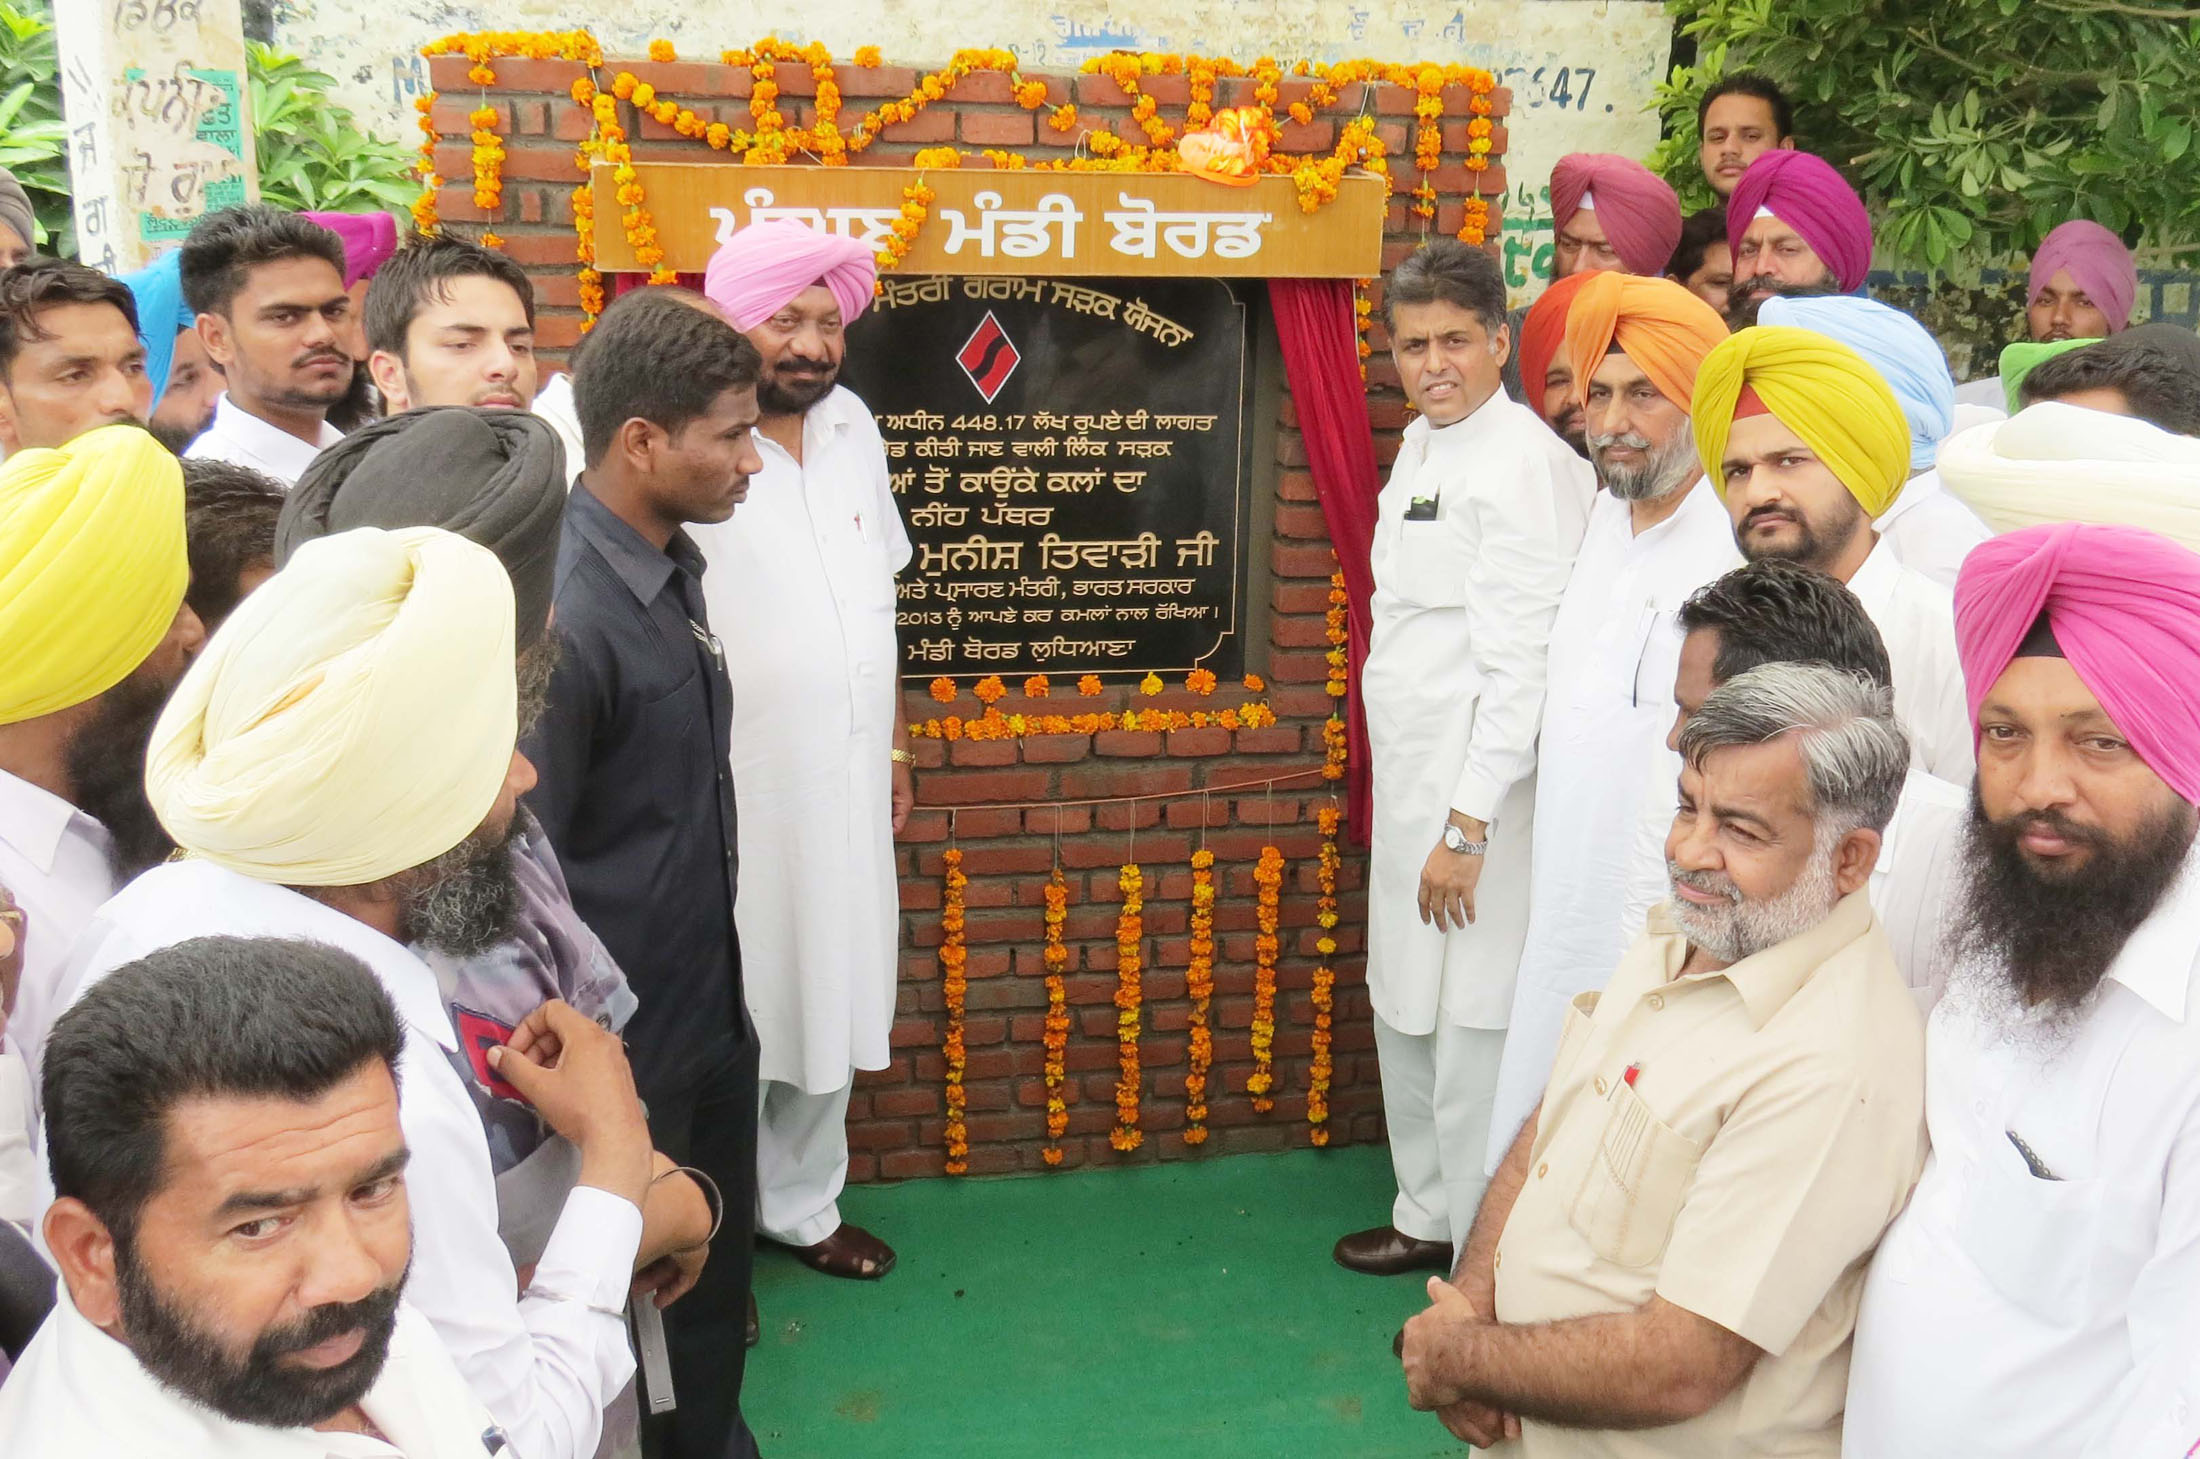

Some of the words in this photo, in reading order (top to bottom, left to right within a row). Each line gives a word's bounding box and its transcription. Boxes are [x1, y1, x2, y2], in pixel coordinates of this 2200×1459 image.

[1545, 59, 1600, 119] 47
[70, 112, 113, 184] ਜ
[73, 188, 118, 250] ਗ
[930, 184, 1092, 270] ਮੰਡੀ
[1098, 185, 1279, 267] ਬੋਰਡ
[865, 271, 961, 322] ਮੰਤਰੀ
[957, 275, 1052, 311] ਗਰਾਮ
[1045, 277, 1125, 329] ਸੜਕ
[1116, 291, 1202, 353] ਯੋਜਨਾ
[884, 407, 949, 435] ਅਧੀਨ
[947, 410, 1029, 435] 448.17
[1027, 405, 1072, 435] ਲੱਖ
[1071, 404, 1125, 438] ਰੁਪਏ
[1121, 402, 1152, 434] ਦੀ
[1151, 409, 1226, 437] ਲਾਗਤ
[889, 435, 913, 461] ਡ
[911, 434, 965, 463] ਕੀਤੀ
[963, 437, 1009, 461] ਜਾਣ
[1008, 435, 1062, 460] ਵਾਲੀ
[1061, 435, 1114, 461] ਲਿੰਕ
[1113, 437, 1180, 463] ਸੜਕ
[889, 463, 919, 501] ਆਂ
[920, 461, 957, 497] ਤੋਂ
[955, 461, 1046, 501] ਕਉਂਕੇ
[1043, 461, 1110, 499] ਕਲਾਂ
[1109, 465, 1160, 499] ਦਾ1
[903, 498, 975, 533] ਨੀਂਹ
[973, 500, 1062, 530] ਪੱਥਰ
[913, 528, 1029, 579] ਮੁਨੀਸ਼
[1031, 527, 1168, 575] ਤਿਵਾੜੀ
[1171, 525, 1222, 575] ਜੀ
[897, 573, 931, 605] ਅਤੇ
[931, 578, 1009, 605] ਪ੍ਰਸਾਰਣ
[1005, 574, 1063, 600] ਮੰਤਰੀ
[1067, 575, 1126, 598] ਭਾਰਤ
[1124, 575, 1202, 598] ਸਰਕਰ
[895, 609, 944, 630] 2013
[944, 604, 965, 633] ਨੂੰ
[965, 603, 1021, 625] ਆਪਣੇ
[1019, 603, 1058, 625] ਕਰ
[1057, 601, 1115, 625] ਕਮਲਾਂ
[1113, 605, 1152, 624] ਨਾਲ
[1151, 598, 1214, 623] ਰੱਖਿਆ
[897, 633, 957, 666] ਮੰਡੀ
[957, 631, 1025, 665] ਬੋਰਡ
[1025, 633, 1143, 668] ਲੁਧਿਆਣਾ